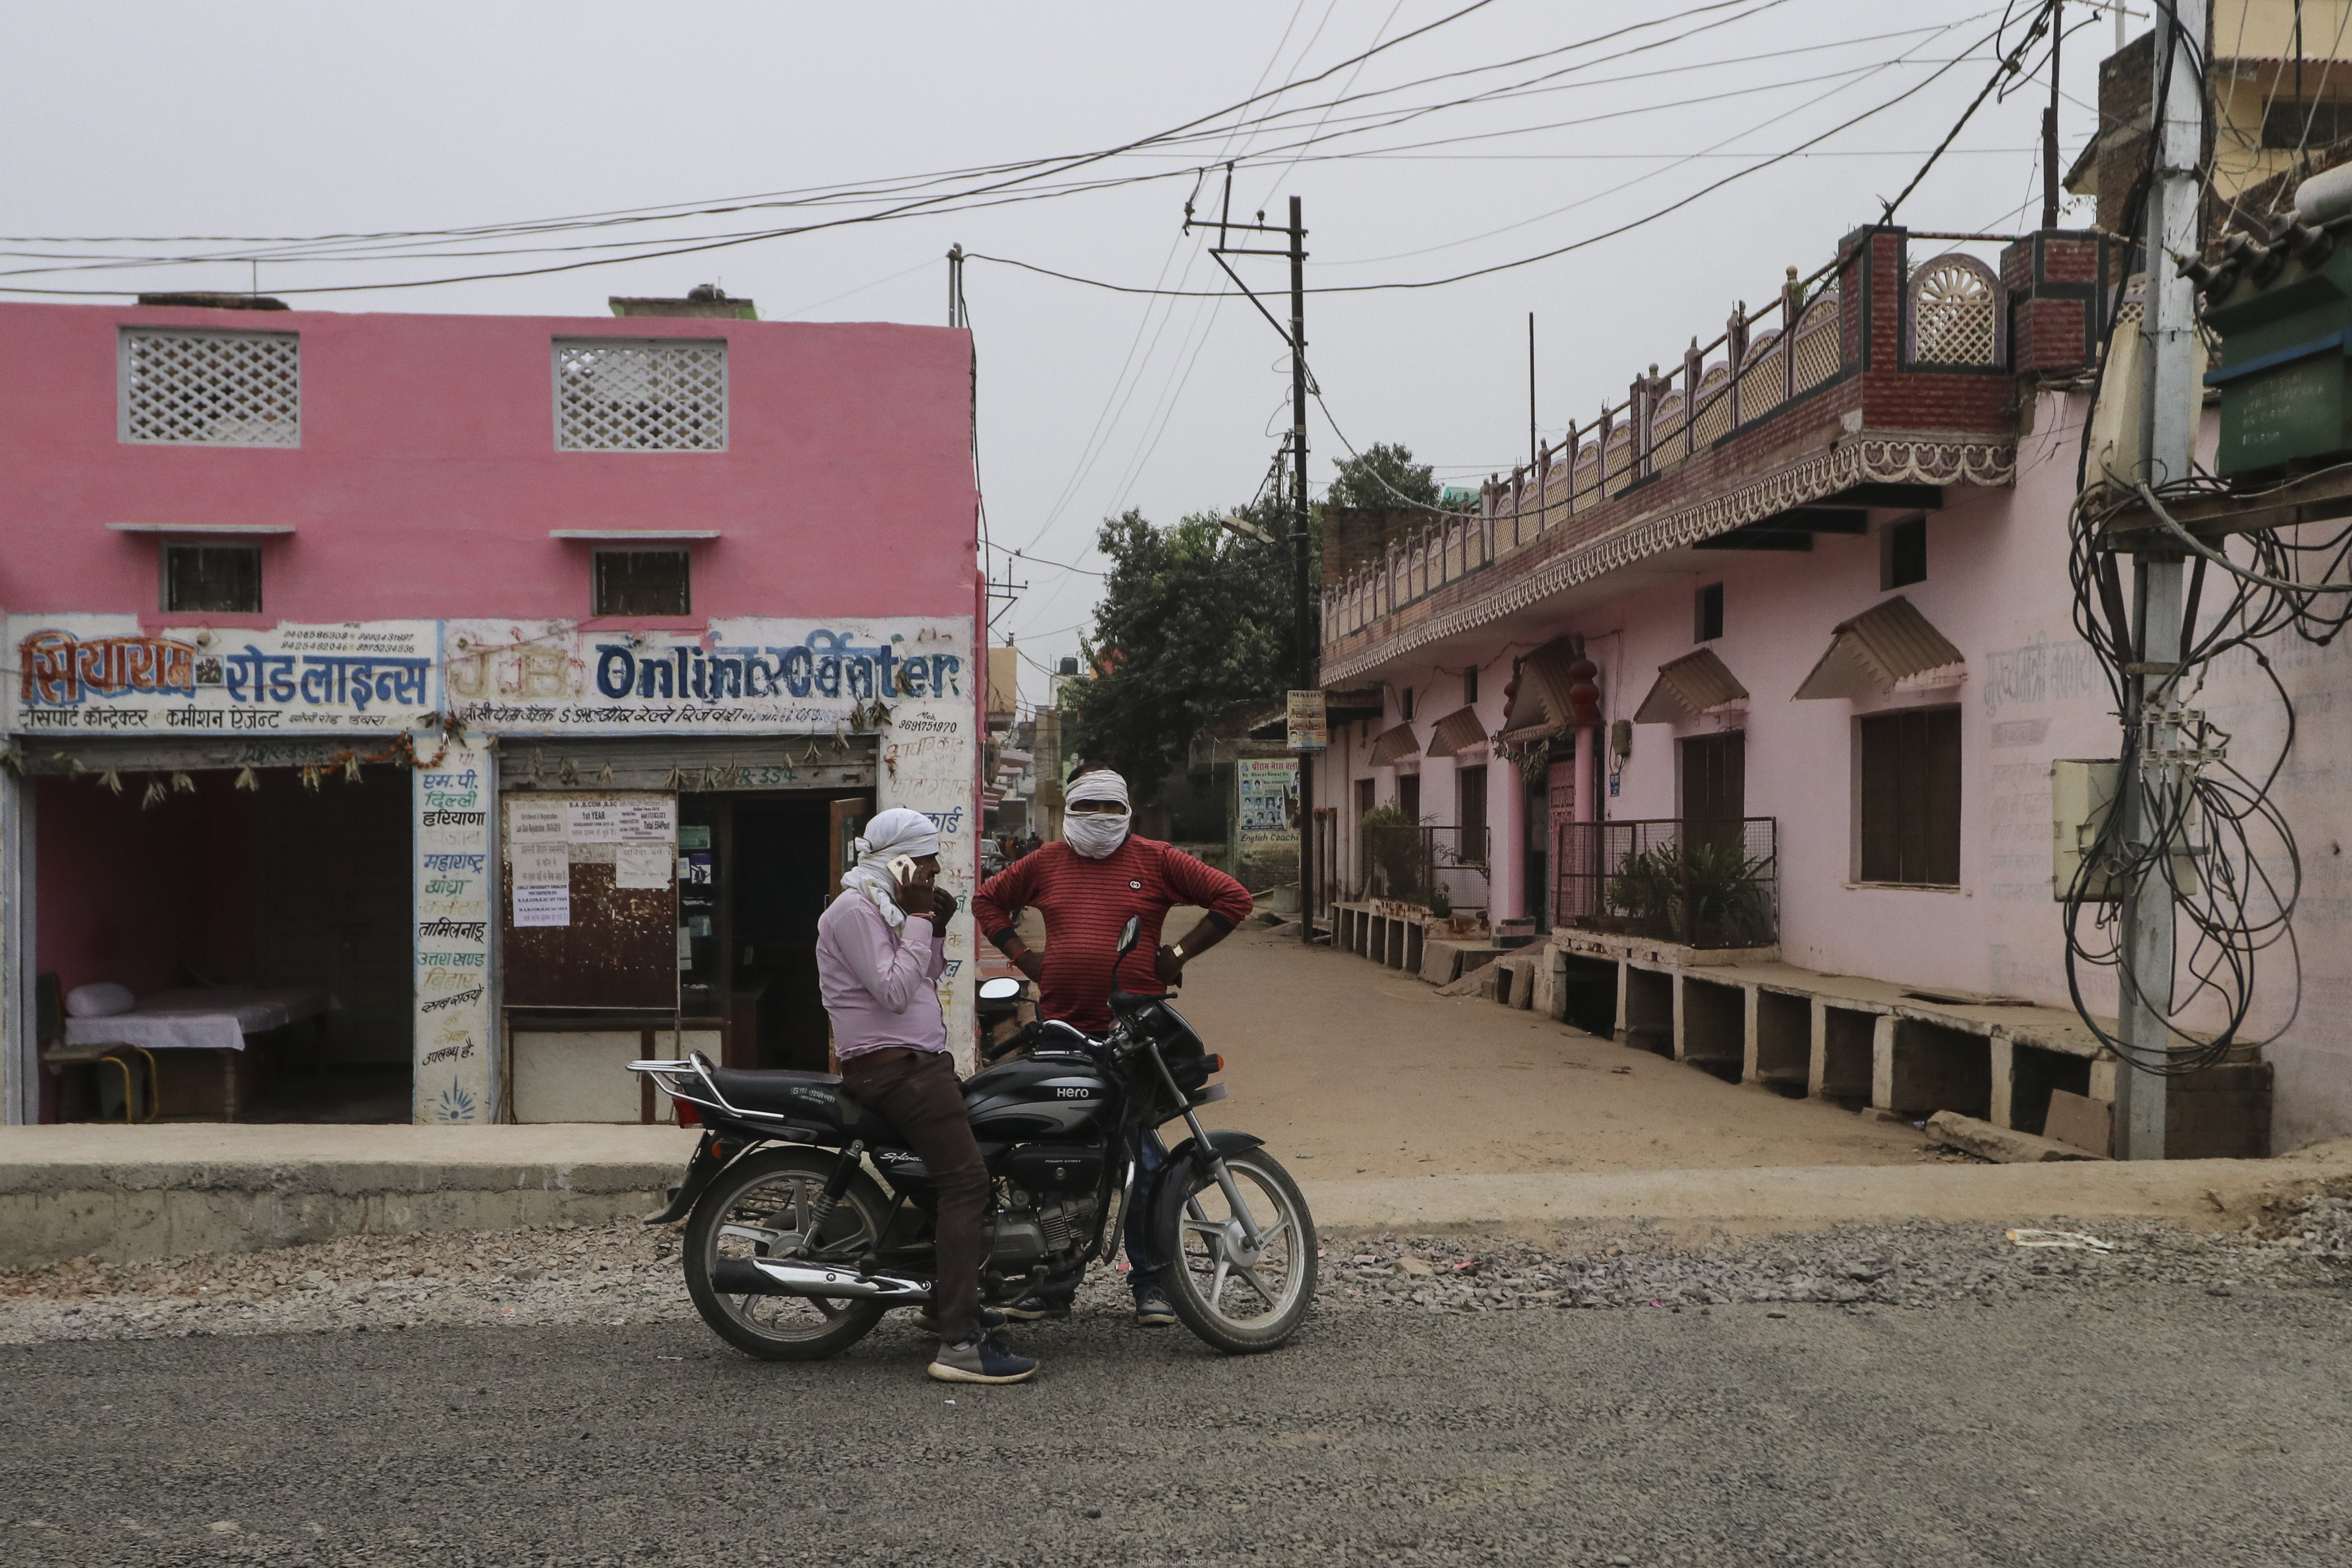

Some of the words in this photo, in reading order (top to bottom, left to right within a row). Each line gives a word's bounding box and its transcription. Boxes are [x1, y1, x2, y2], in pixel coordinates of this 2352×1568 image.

[281, 627, 349, 641] 9406586309
[279, 640, 350, 653] 9425482046
[354, 642, 417, 655] 9575234836
[15, 627, 200, 705] सियाराम
[225, 641, 298, 703] रोड
[298, 655, 432, 713] लाइन्स
[594, 626, 961, 703] OnlineCenter
[16, 700, 80, 732] ट्रौसपोर्ट
[82, 702, 149, 732] कॉन्ट्रेक्टर
[166, 700, 226, 730] कमीशन
[226, 703, 282, 730] ऐजेन्ट
[316, 709, 342, 726] रोड
[347, 712, 388, 728] डबरा
[457, 699, 494, 724] झाँसी
[518, 701, 558, 724] अटक
[556, 700, 596, 725] SS.C.
[595, 704, 637, 724] और
[632, 702, 677, 725] रेल्वे
[674, 700, 728, 724] रिजव
[422, 772, 456, 790] एम.
[456, 766, 479, 790] पी.
[423, 788, 478, 809] दिल्ली
[421, 805, 487, 829] हरियाणा
[421, 852, 488, 875] महाराष्‍ट्र
[422, 871, 473, 899] आंध्रा
[418, 913, 488, 944] तामिलनाडू
[416, 950, 488, 968] उत्तराखण्ड
[422, 964, 480, 989] बिहार
[421, 995, 452, 1015] सब
[446, 981, 486, 1009] राज्यों
[421, 1045, 460, 1069] उपलब्ध
[458, 1035, 475, 1060] है.